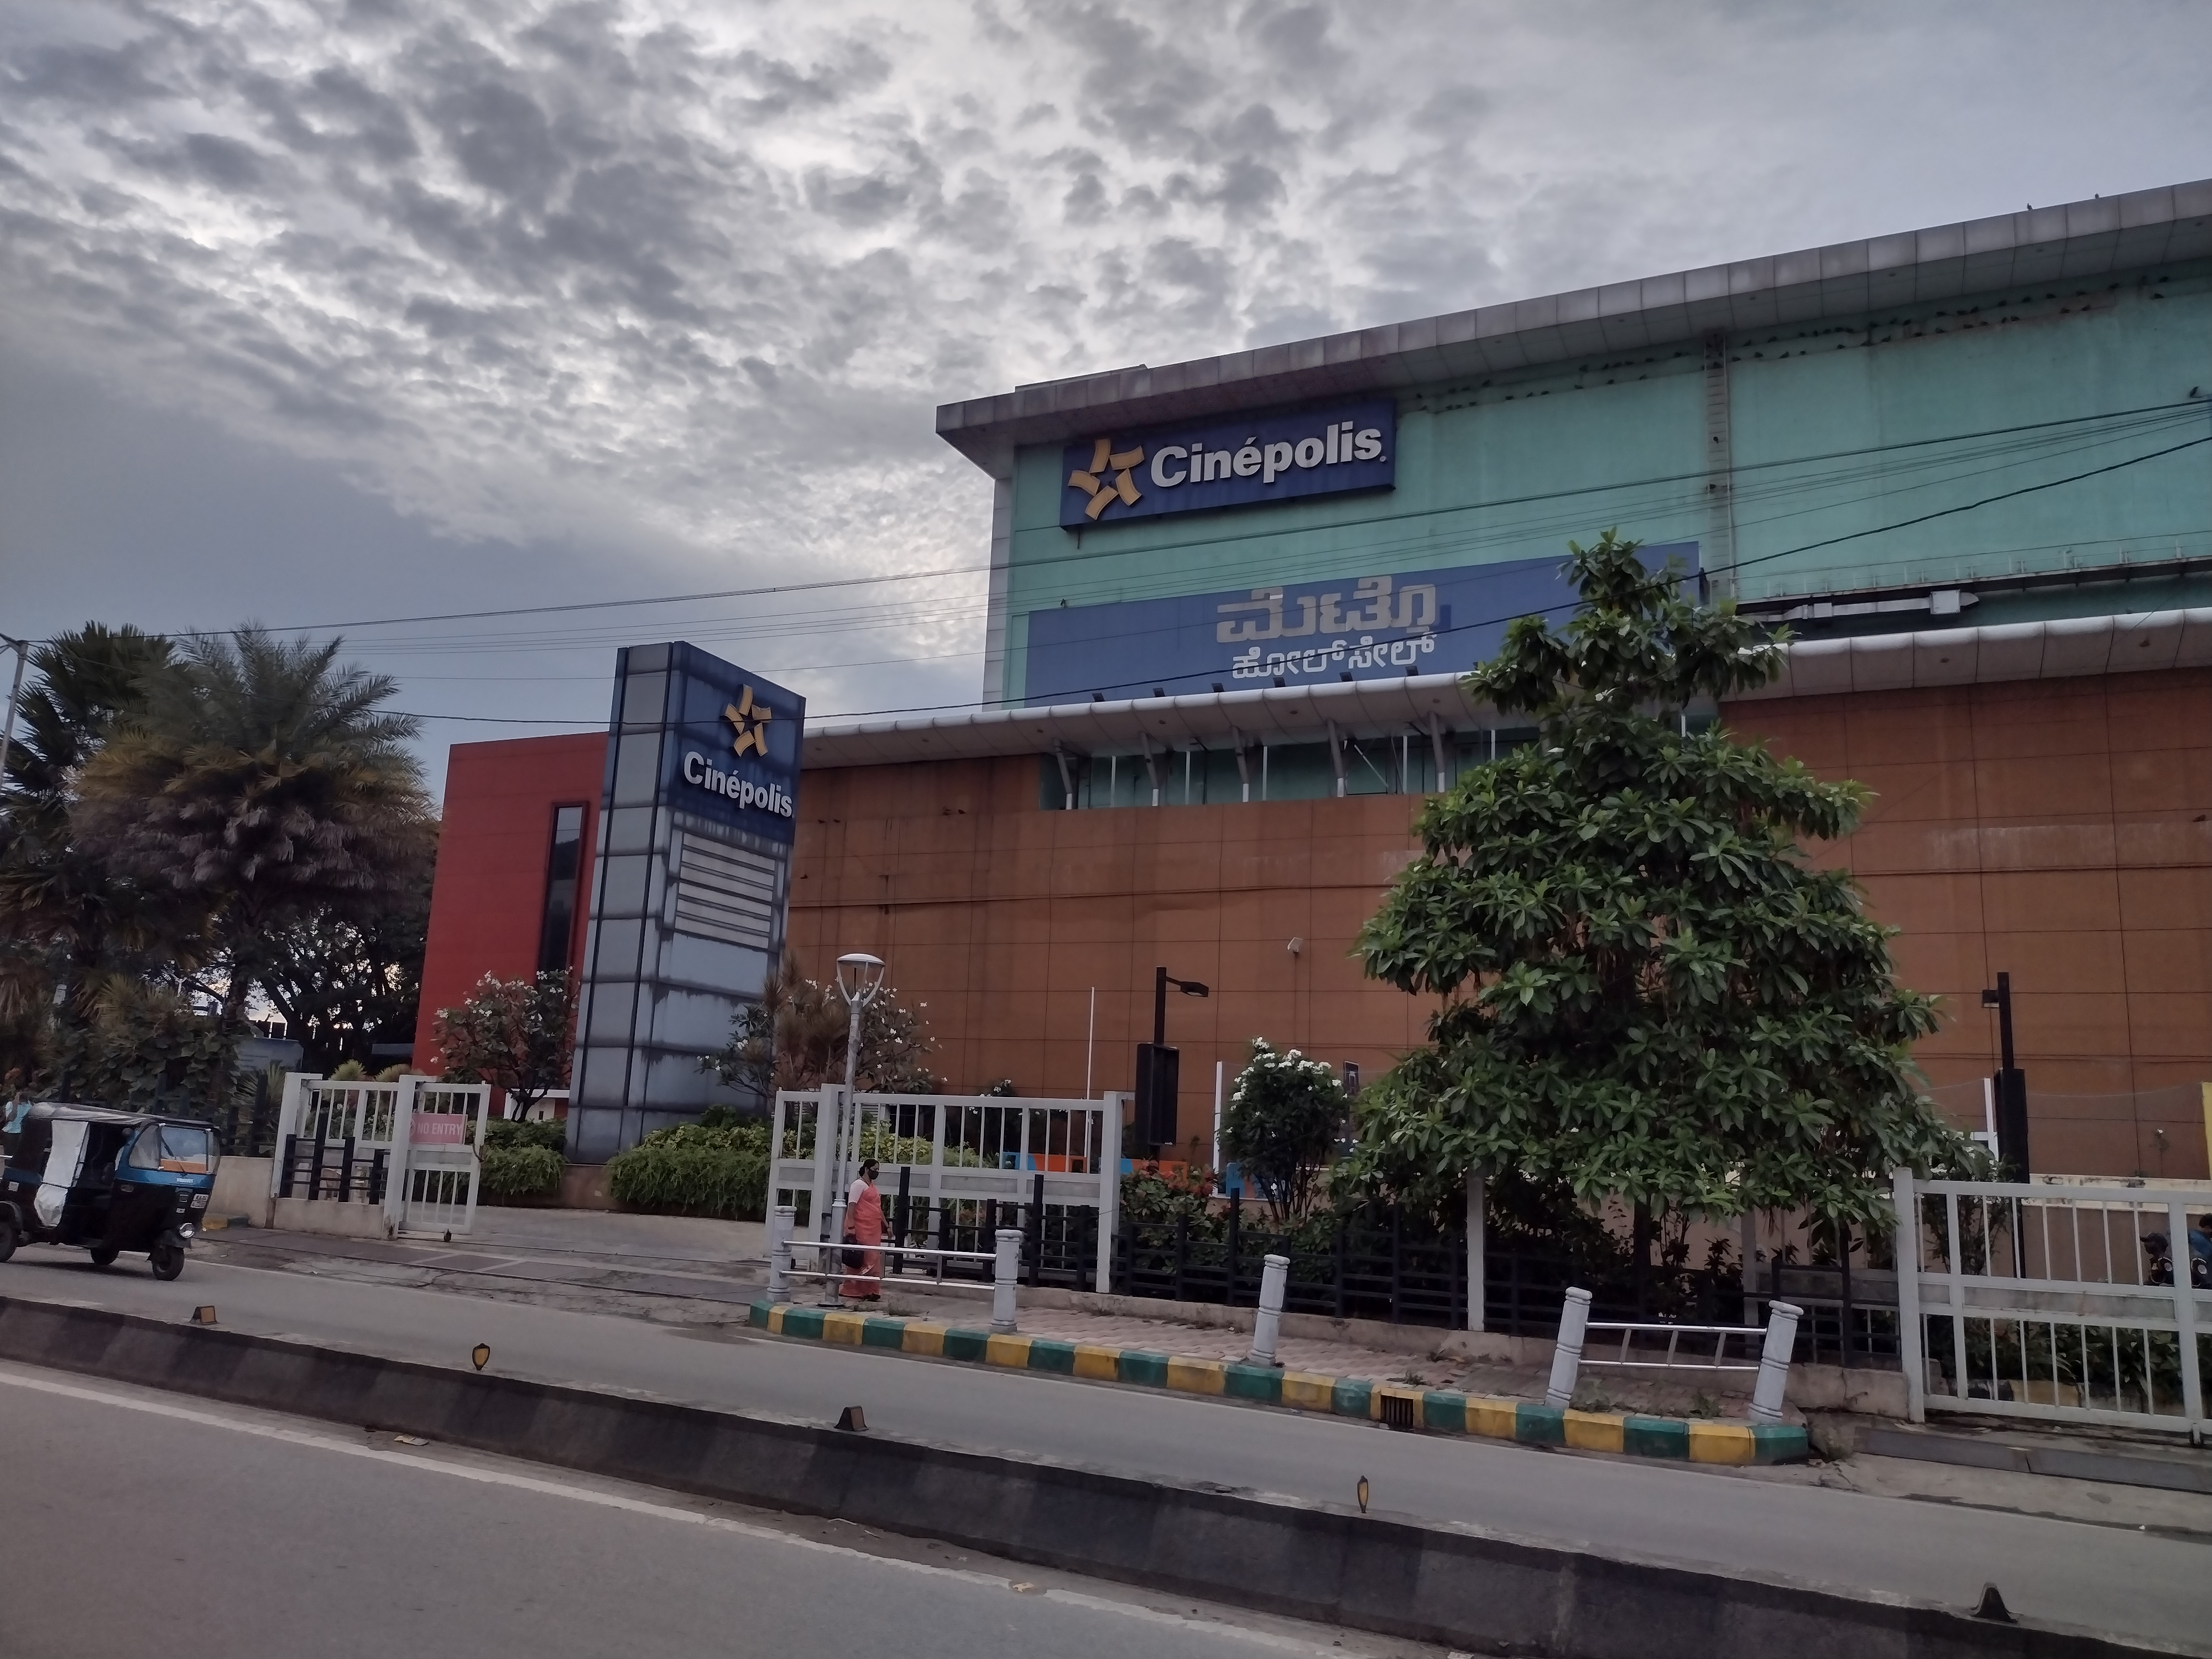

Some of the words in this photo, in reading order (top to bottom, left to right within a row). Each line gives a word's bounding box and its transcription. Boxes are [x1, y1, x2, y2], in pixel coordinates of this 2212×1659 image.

[1146, 418, 1388, 492] Cinepolis
[1212, 570, 1438, 648] ಮಟೆಂ
[1229, 630, 1438, 681] ಹೋಲ್‌ಸೇಲ್
[677, 748, 795, 822] Cinepolis